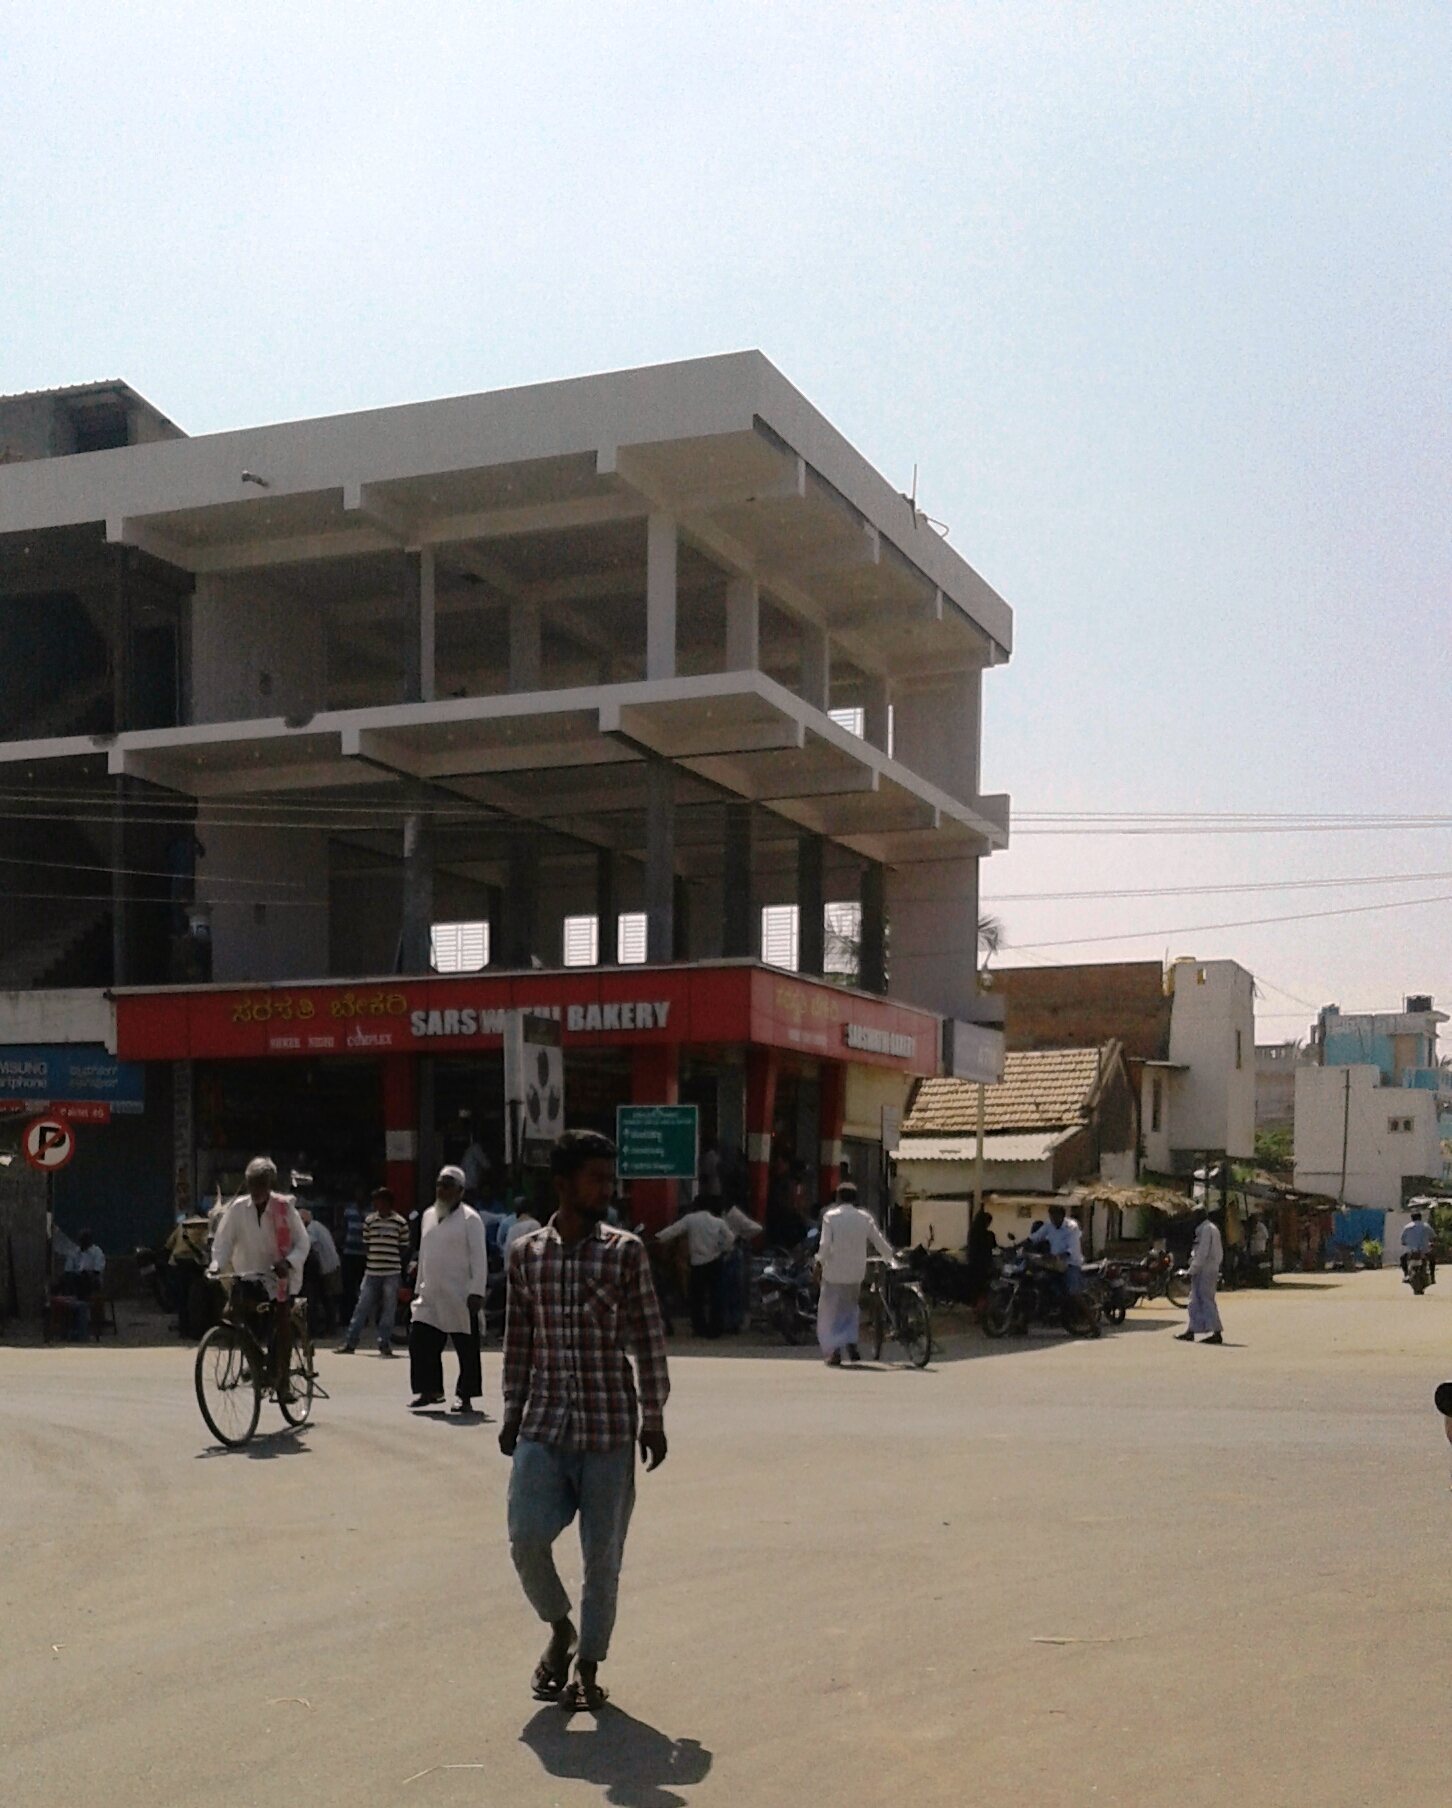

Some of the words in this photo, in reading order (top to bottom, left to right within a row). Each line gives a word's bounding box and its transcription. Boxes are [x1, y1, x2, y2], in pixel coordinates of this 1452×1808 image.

[224, 989, 323, 1027] ಸರಸತಿ
[337, 1029, 397, 1052] COMPLEX
[324, 977, 413, 1025] ಬೇಕರಿ
[409, 1002, 482, 1042] SARS
[559, 995, 676, 1035] BAKERY